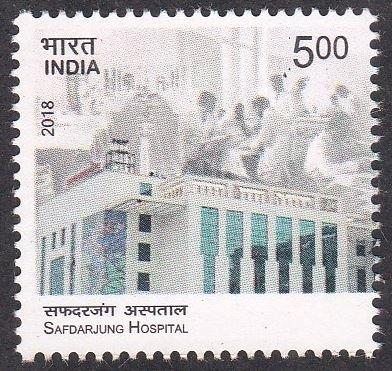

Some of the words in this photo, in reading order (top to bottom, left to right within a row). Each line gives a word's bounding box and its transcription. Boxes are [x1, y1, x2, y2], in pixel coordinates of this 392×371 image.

[37, 34, 100, 57] भारत
[286, 32, 351, 75] 500
[41, 58, 99, 78] INDIA
[38, 98, 57, 139] 2018
[43, 300, 119, 319] सफदरजंग
[123, 303, 190, 319] अस्पताल
[41, 319, 126, 339] SAFDARJUNG
[125, 320, 191, 337] HOSPITAL